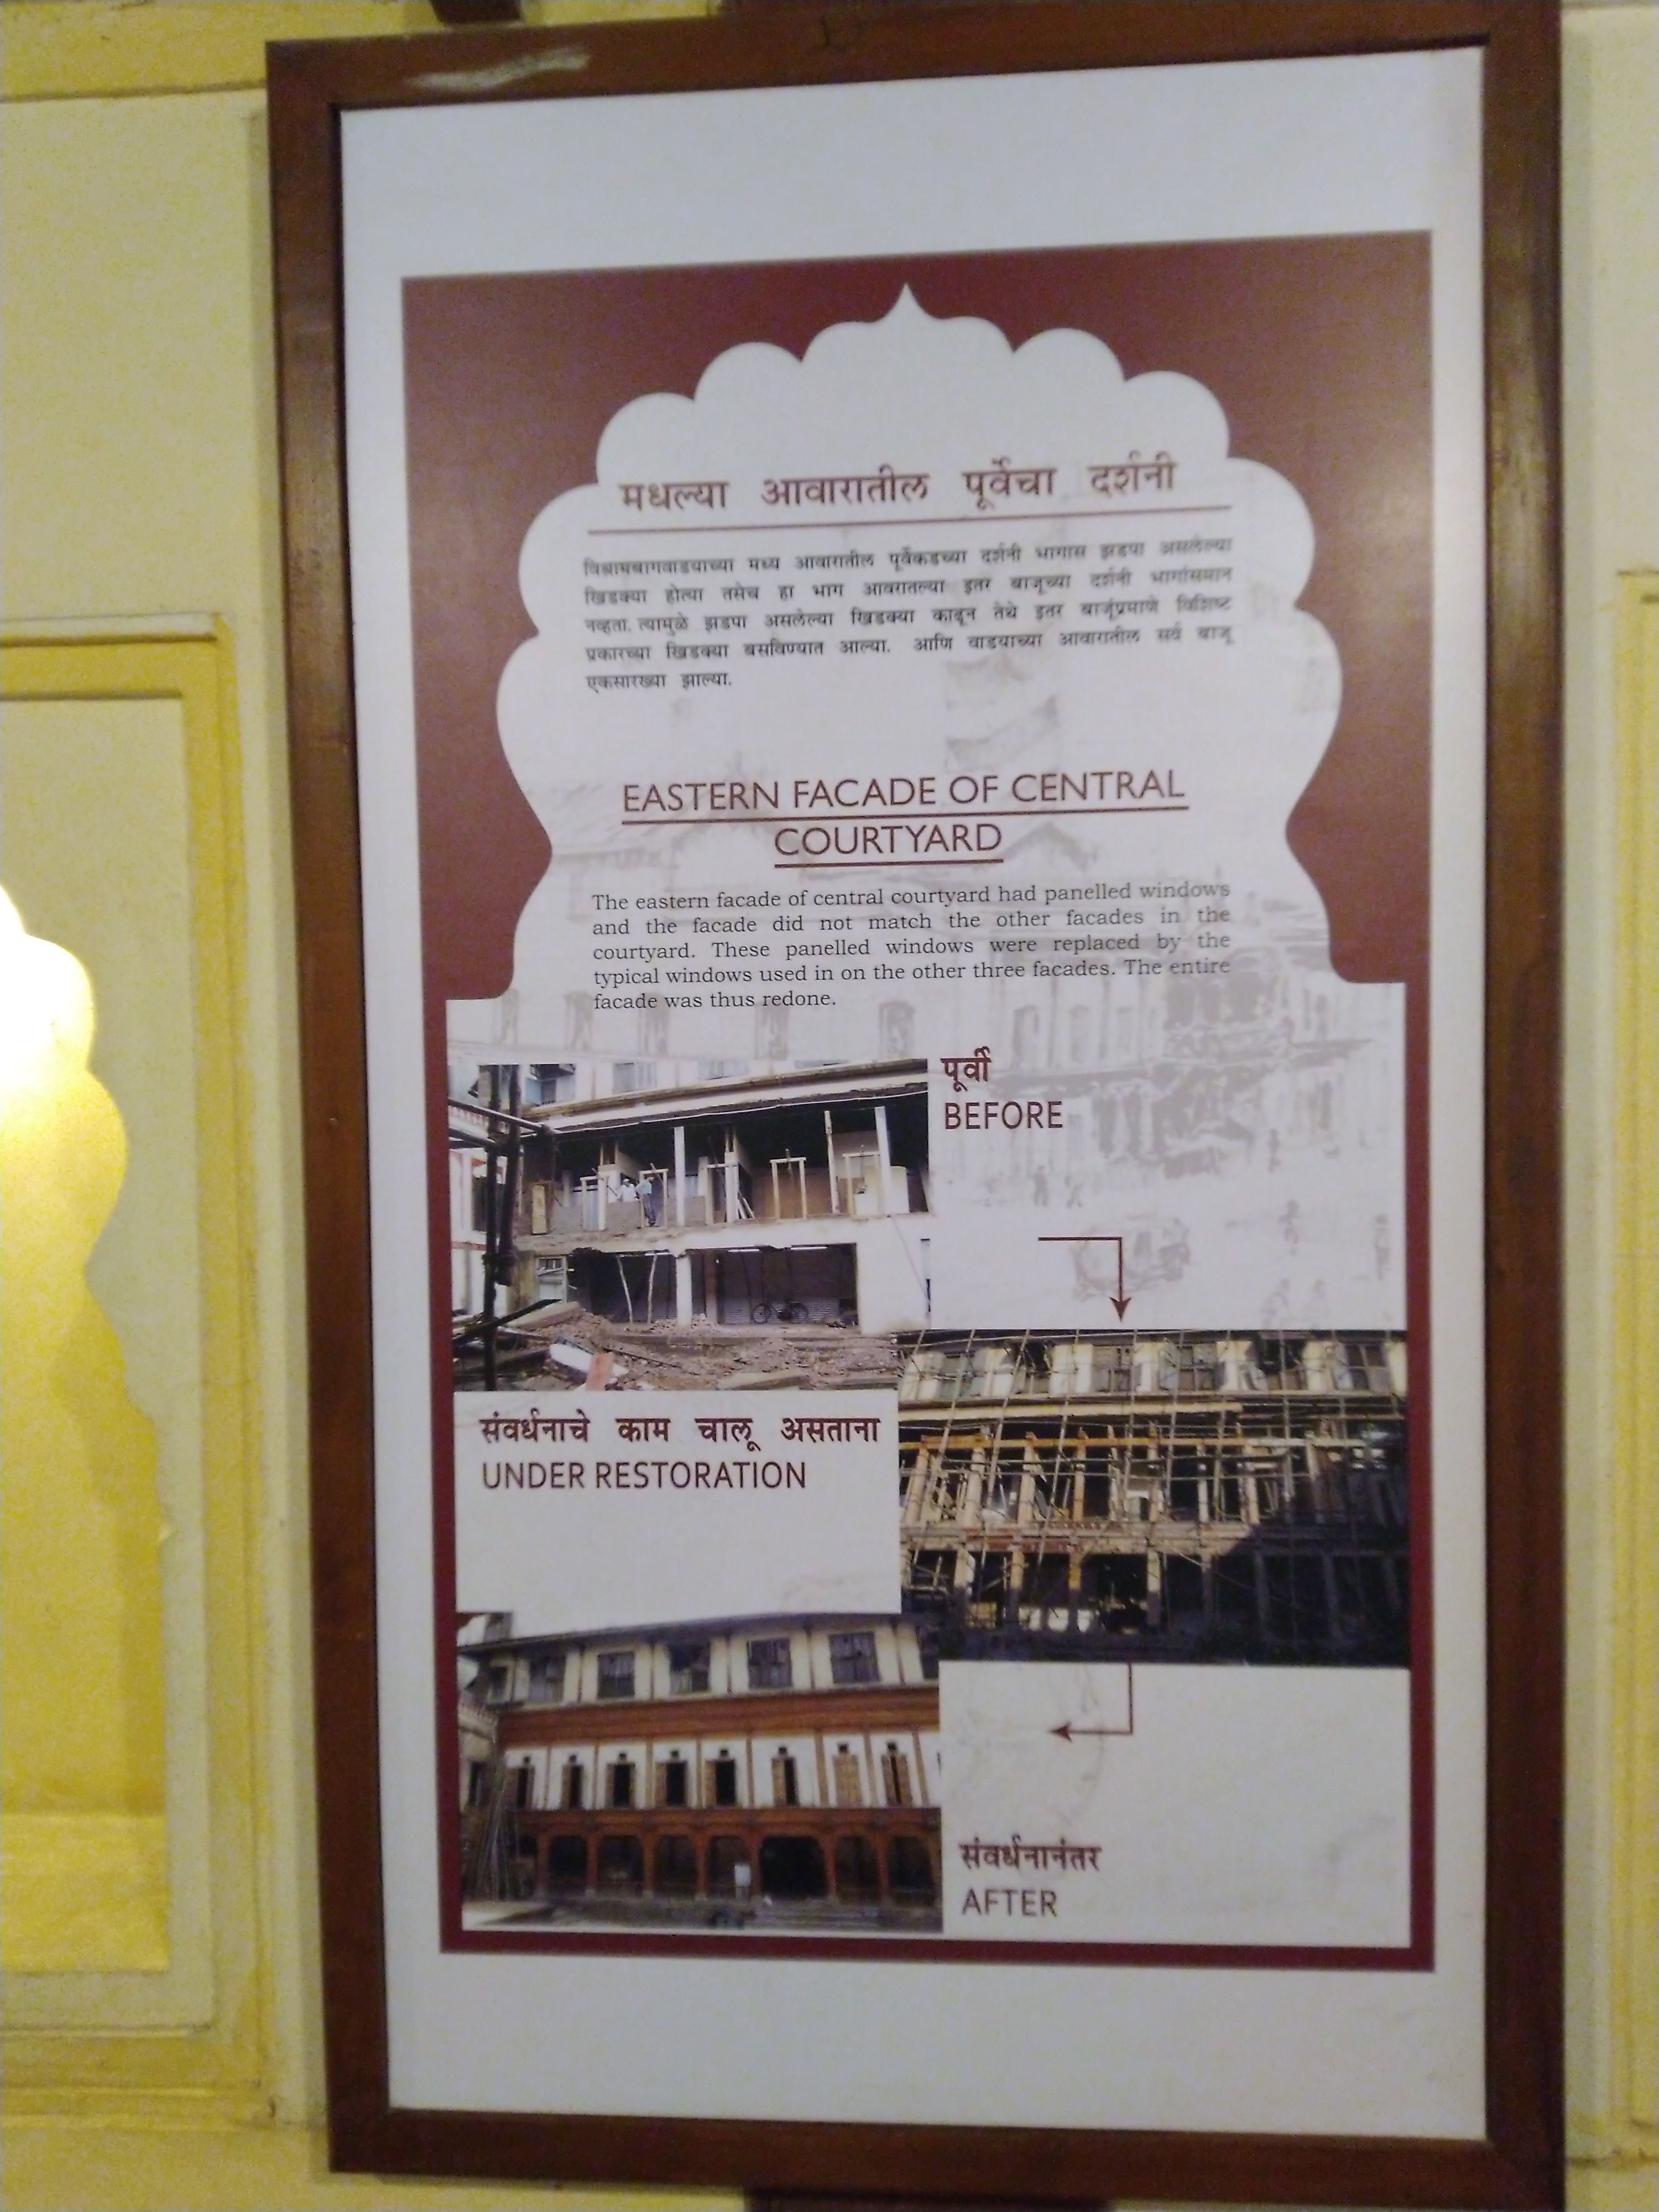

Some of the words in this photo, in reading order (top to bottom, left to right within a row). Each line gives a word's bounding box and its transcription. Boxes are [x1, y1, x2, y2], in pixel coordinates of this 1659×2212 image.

[614, 475, 734, 513] मधल्या
[754, 462, 937, 510] आवारातील
[956, 452, 1066, 513] पूर्वेचा
[1082, 442, 1186, 507] दर्शनी
[775, 582, 797, 602] हा
[808, 581, 847, 598] भाग
[699, 613, 754, 635] झडपा
[662, 639, 733, 662] खिडक्या
[744, 635, 828, 660] बसविण्यात
[836, 636, 895, 658] आल्या.
[911, 629, 957, 655] आणि
[964, 631, 1047, 653] वाडयाच्या
[677, 669, 734, 693] झाल्या.
[618, 778, 784, 816] EASTERN
[787, 772, 942, 813] FACADE
[945, 771, 1004, 807] OF
[1007, 768, 1192, 806] CENTRAL
[763, 821, 1010, 862] COURTYARD
[587, 891, 633, 912] The
[589, 915, 635, 937] and
[586, 940, 701, 965] courtyard.
[641, 914, 683, 939] the
[633, 892, 713, 912] eastern
[688, 914, 764, 937] facade
[708, 936, 774, 964] These
[712, 885, 785, 912] facade
[769, 914, 807, 935] did
[784, 886, 814, 910] of
[781, 936, 878, 963] panelled
[817, 914, 858, 935] not
[811, 885, 888, 909] central
[866, 911, 937, 932] match
[883, 935, 977, 957] windows
[889, 885, 995, 909] courtyard
[944, 910, 983, 932] the
[983, 936, 1040, 957] were
[995, 881, 1040, 906] had
[992, 908, 1055, 932] other
[1041, 878, 1137, 910] panelled
[1050, 931, 1146, 959] replaced
[1062, 905, 1150, 931] facades
[1154, 928, 1187, 957] by
[1155, 904, 1187, 931] in
[1138, 874, 1241, 904] windows
[1191, 927, 1237, 951] the
[1192, 899, 1237, 927] the
[589, 963, 664, 992] typical
[664, 963, 757, 985] windows
[755, 963, 812, 985] used
[809, 961, 838, 984] in
[834, 964, 870, 984] on
[869, 962, 909, 984] the
[908, 960, 971, 983] other
[971, 959, 1032, 981] three
[1030, 956, 1117, 980] facades.
[1117, 956, 1166, 980] The
[1164, 952, 1238, 980] entire
[590, 989, 662, 1018] facade
[662, 992, 706, 1011] was
[705, 989, 759, 1012] thus
[759, 987, 842, 1013] redone.
[932, 1042, 995, 1098] पूर्वी
[941, 1098, 1068, 1134] BEFORE
[473, 1402, 598, 1450] संवर्धनाचे
[612, 1413, 677, 1444] काम
[688, 1415, 768, 1455] चालू
[773, 1413, 888, 1445] असताना
[479, 1454, 591, 1500] UNDER
[592, 1458, 814, 1495] RESTORATION
[952, 1828, 1114, 1878] संवर्धनानंतर
[953, 1879, 1064, 1927] AFTER